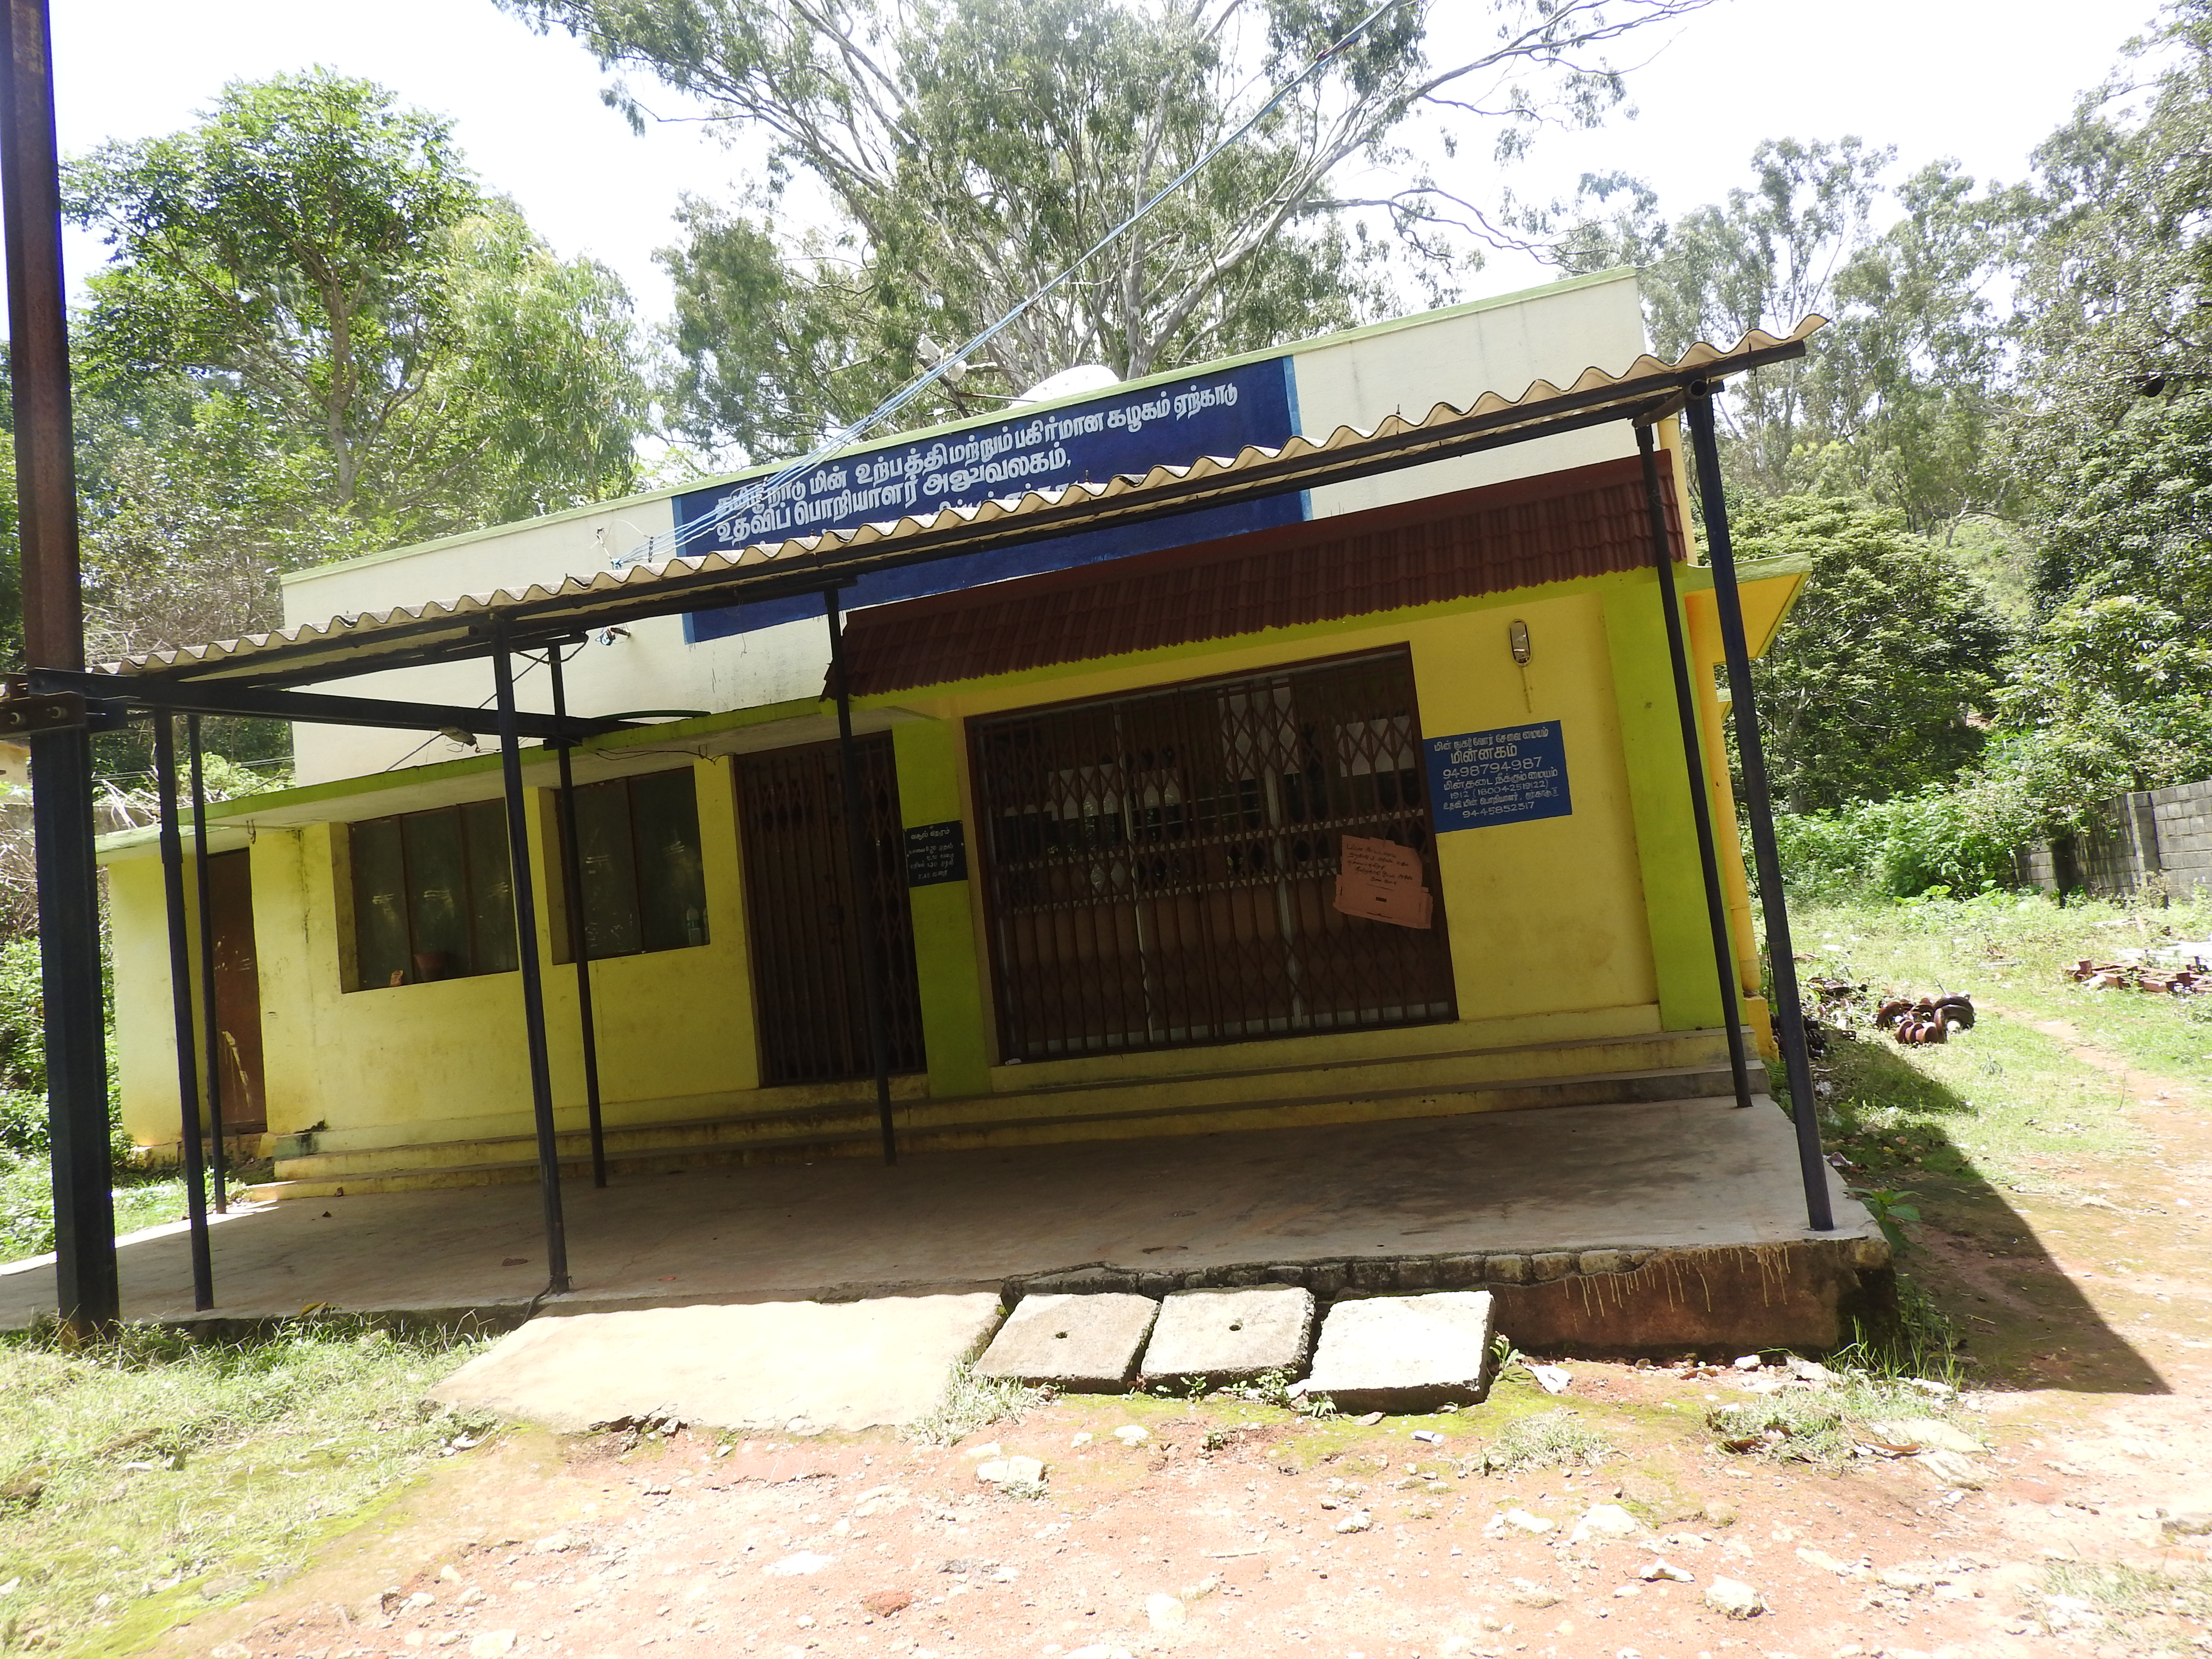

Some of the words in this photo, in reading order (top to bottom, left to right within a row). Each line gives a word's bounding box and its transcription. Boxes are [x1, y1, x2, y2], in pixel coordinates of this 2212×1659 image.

[1105, 388, 1175, 436] கழகம்
[1172, 381, 1241, 422] ஏற்காடு
[1011, 410, 1106, 452] பகிா்மான
[851, 422, 1016, 489] உற்பத்திமற்றும்
[918, 436, 1070, 500] அலுவலகம்,
[807, 462, 850, 497] மின்
[790, 473, 921, 529] பொறியரளர்
[715, 499, 794, 549] உதவிப்
[1431, 737, 1455, 754] மின்
[1451, 732, 1496, 753] நுகர்வோர்
[1448, 742, 1520, 768] மின்னகம்
[1494, 728, 1524, 745] சேவை
[1439, 797, 1465, 813] உதவி
[1448, 790, 1472, 802] 1912
[1440, 775, 1495, 793] மின்தடை
[1440, 755, 1543, 781] 9498794987
[1477, 790, 1520, 808] பொறியாளா்,
[1460, 799, 1537, 820] 94-45852517
[1477, 778, 1549, 799] 180042519122
[1491, 764, 1560, 788] நீக்கும் மையம்
[908, 826, 931, 843] வசூல்
[927, 825, 952, 840] நேரம்
[925, 861, 940, 870] 130